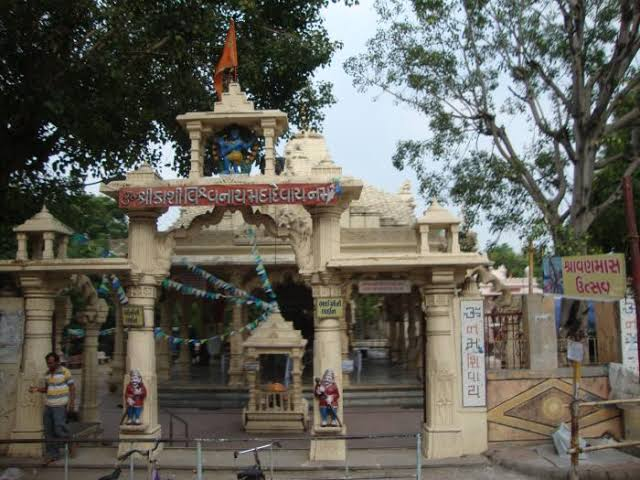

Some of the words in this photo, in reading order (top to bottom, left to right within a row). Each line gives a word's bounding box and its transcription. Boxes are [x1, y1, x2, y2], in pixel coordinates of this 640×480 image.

[117, 181, 339, 207] શ્રીકાશીવિશ્વનાયમદાદેવાયનમ
[560, 256, 624, 275] શ્રાવણમાસ
[571, 273, 613, 295] ઉત્સવ
[463, 304, 483, 399] ૐ નમ: શિવાય